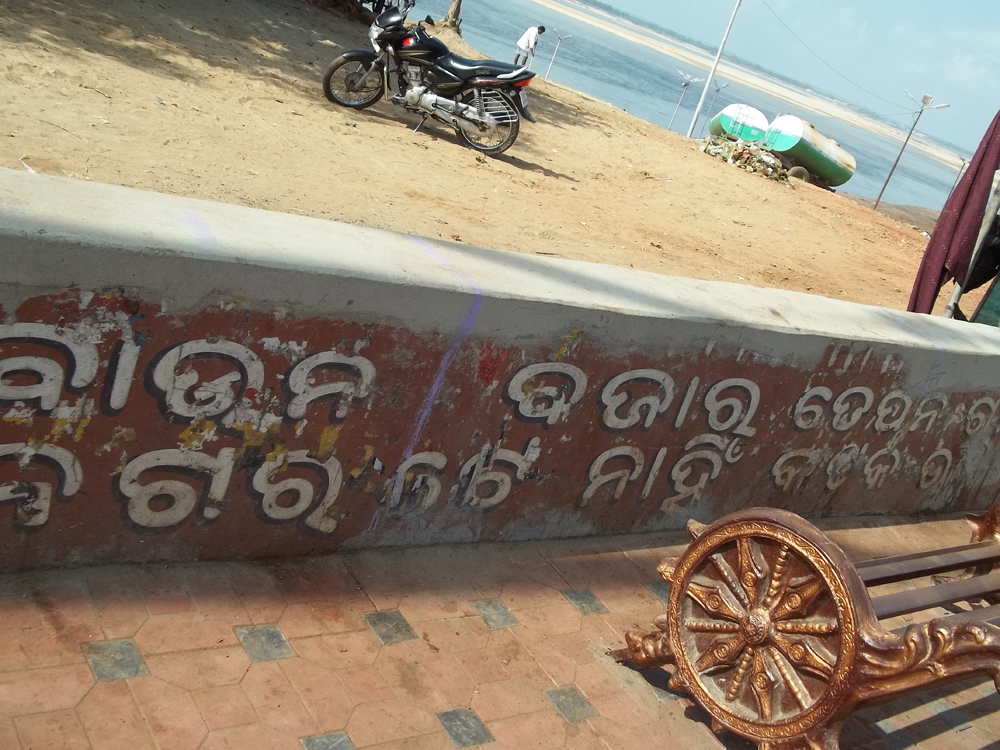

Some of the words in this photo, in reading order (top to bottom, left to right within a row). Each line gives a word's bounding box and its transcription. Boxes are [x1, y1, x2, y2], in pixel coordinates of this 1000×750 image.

[2, 292, 391, 436] ବାଡନ
[505, 352, 767, 441] ବଜାର